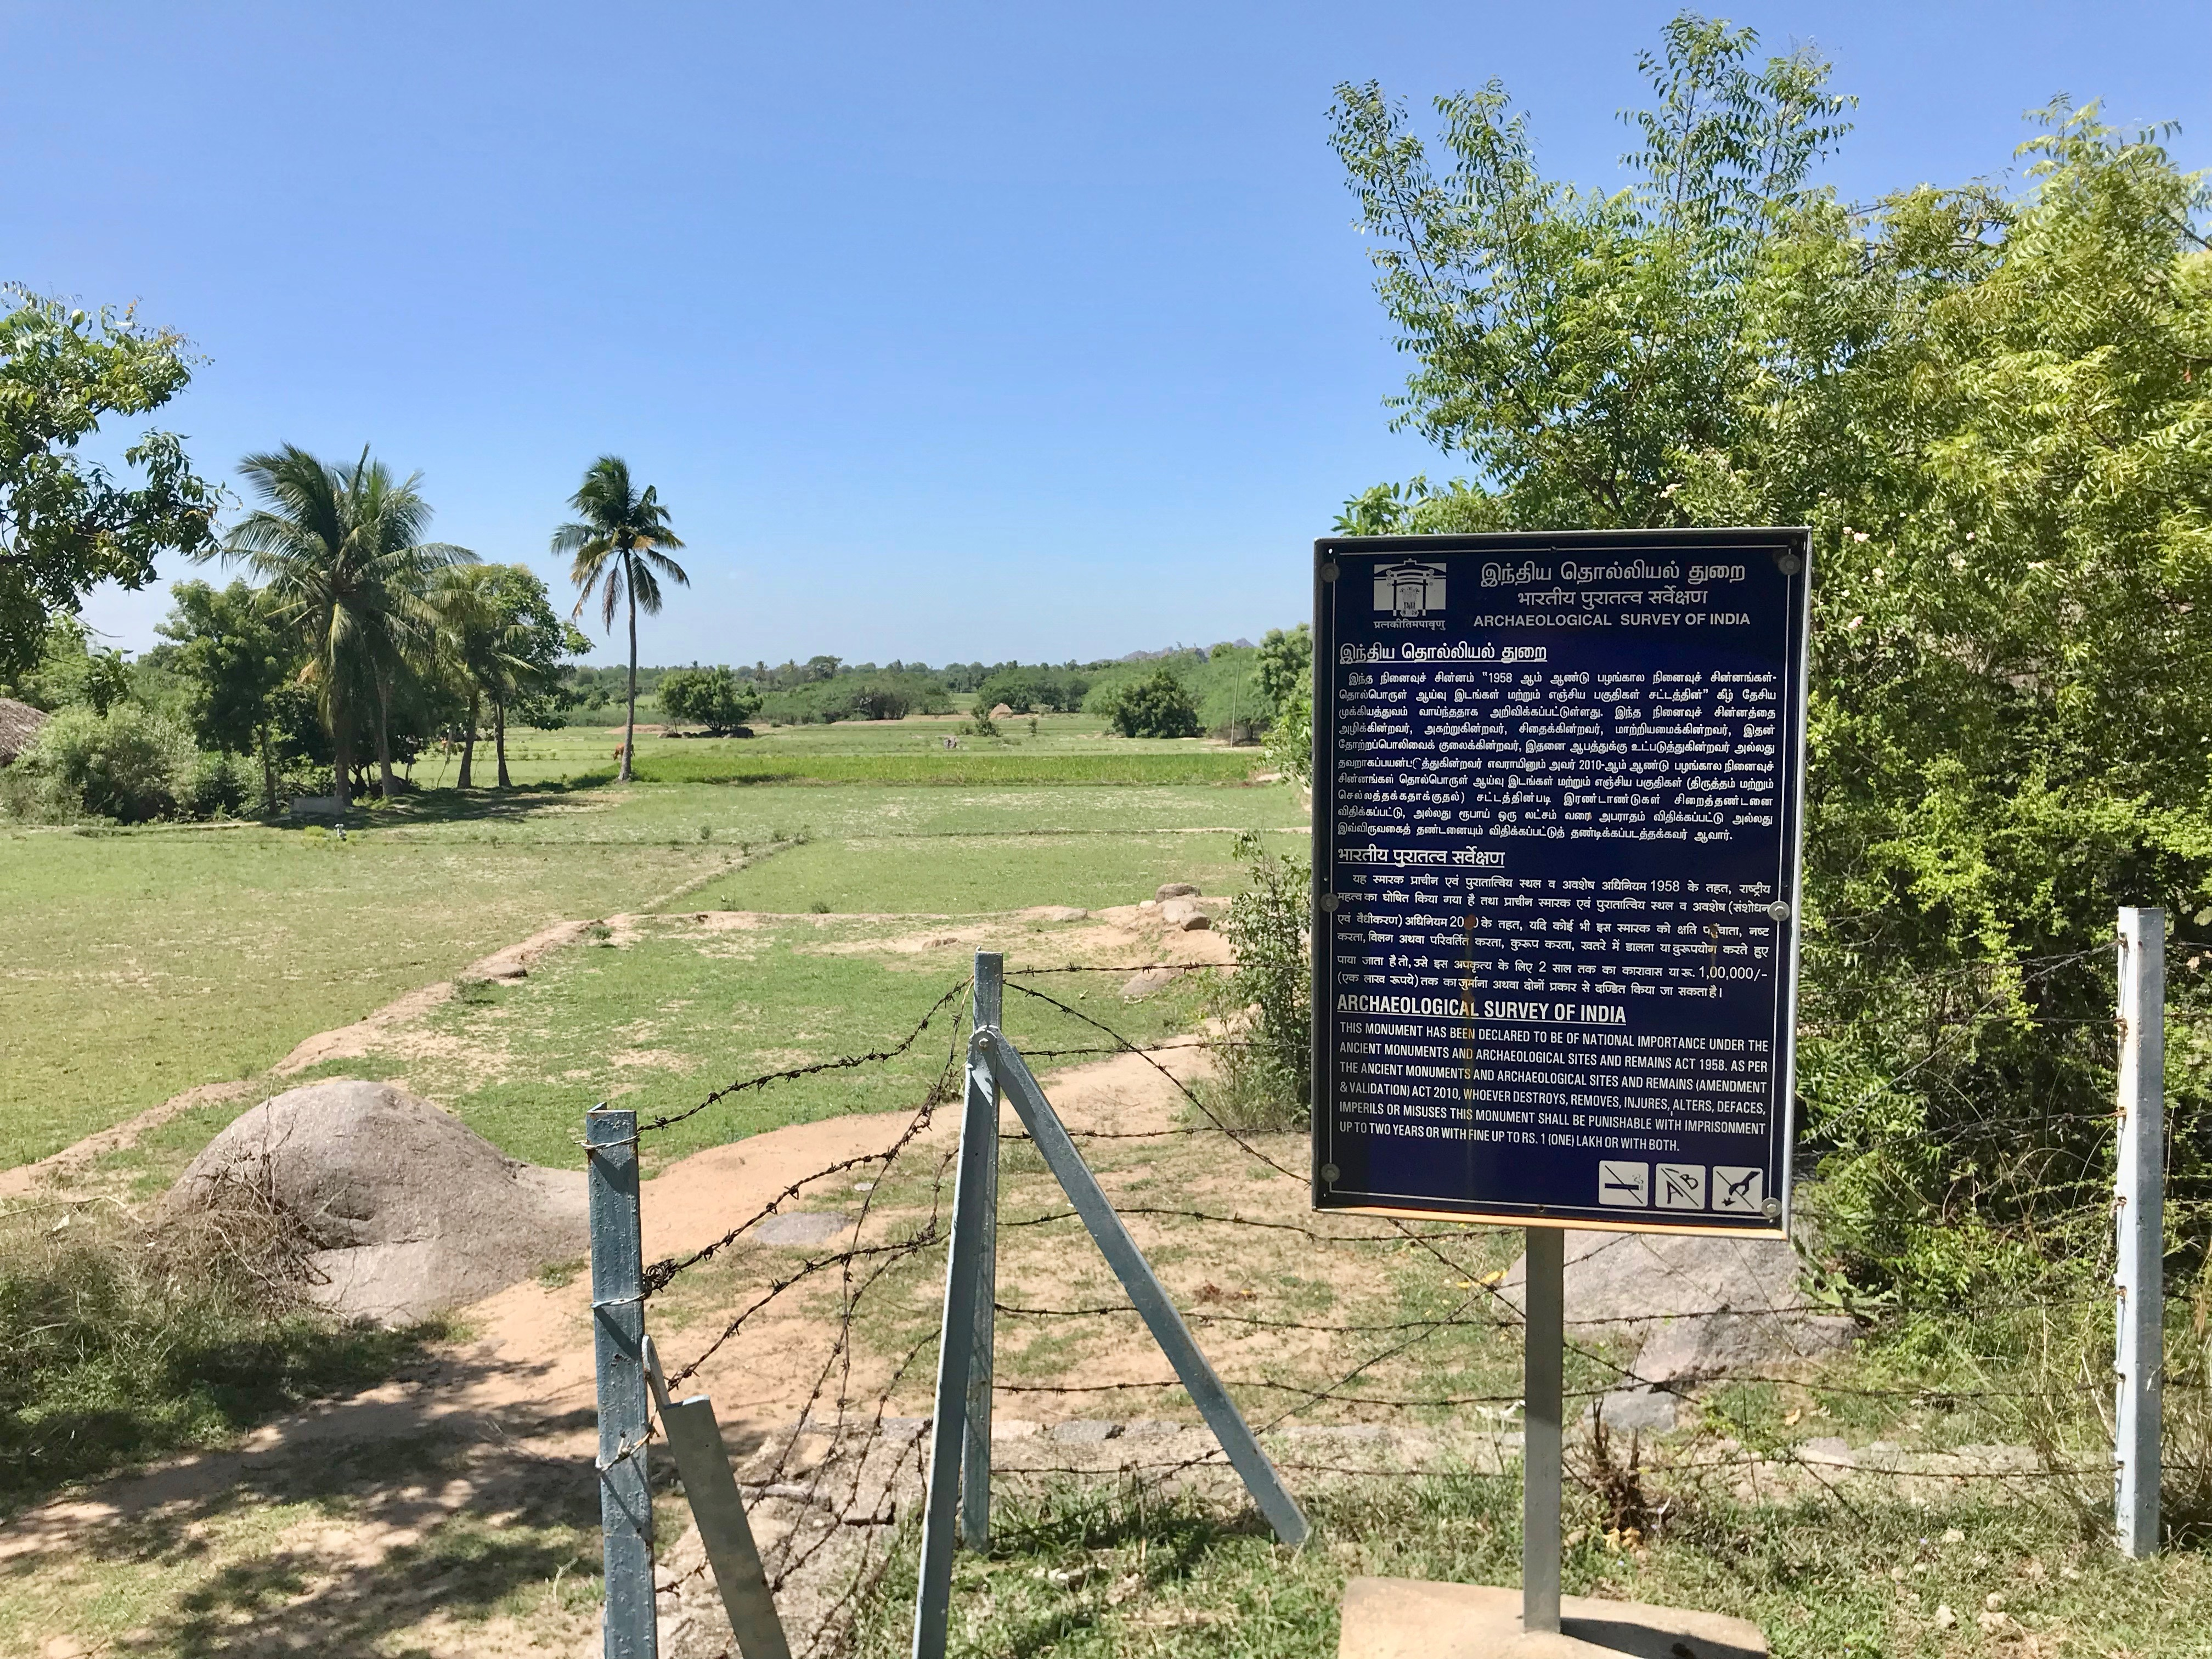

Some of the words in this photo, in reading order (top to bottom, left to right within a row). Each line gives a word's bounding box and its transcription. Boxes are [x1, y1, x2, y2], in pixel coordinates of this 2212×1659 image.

[1477, 558, 1554, 591] இந்திய
[1556, 555, 1685, 588] தொல்லியல்
[1513, 582, 1579, 610] भारतीय
[1578, 588, 1645, 613] पुरातत्व
[1645, 583, 1710, 608] सर्वेक्षण
[1373, 615, 1448, 633] प्रत्नकीतिमपावृणु
[1471, 612, 1615, 628] ARCHAEOLOGICAL
[1618, 611, 1683, 628] SURVEY
[1681, 610, 1708, 629] OF
[1709, 611, 1752, 628] INDIA
[1335, 639, 1398, 668] இந்திய
[1400, 638, 1498, 664] தொல்லியல்
[1496, 643, 1548, 665] துறை
[1345, 668, 1376, 688] இந்த
[1376, 668, 1430, 689] நினைவுச்
[1431, 667, 1477, 685] சின்னம்
[1485, 670, 1514, 687] 1958
[1518, 670, 1543, 692] ஆம்
[1546, 668, 1592, 688] ஆண்டு
[1593, 668, 1647, 690] பழங்கால
[1650, 665, 1705, 687] நினைவுச்
[1707, 667, 1775, 685] சின்னங்கள்-
[1334, 684, 1410, 706] தொல்பொருள்
[1414, 685, 1448, 706] ஆய்வு
[1451, 684, 1504, 705] இடங்கள்
[1504, 685, 1543, 706] மற்றும்
[1545, 685, 1589, 705] எஞ்சிய
[1591, 684, 1640, 706] பகுதிகள்
[1645, 685, 1705, 704] சட்டத்தின்
[1713, 684, 1736, 707] கீழ்
[1739, 684, 1778, 704] தேசிய
[1337, 702, 1410, 721] முக்கியத்துவம்
[1415, 702, 1482, 721] வாய்ந்ததாக
[1486, 702, 1606, 721] அறிவிக்கப்பட்டுள்ளது.
[1611, 703, 1644, 723] இந்த
[1649, 700, 1705, 721] நினைவுச்
[1710, 702, 1778, 723] சின்னத்தை
[1335, 716, 1413, 740] அழிக்கின்றவர்,
[1424, 718, 1505, 739] அகற்றுகின்றவர்
[1516, 718, 1604, 738] சிதைக்கின்றவர்,
[1613, 719, 1731, 740] மாற்றியமைக்கின்றவர்
[1739, 717, 1776, 741] இதன்
[1337, 735, 1437, 753] தோற்றப்பொலிவைக்
[1437, 736, 1521, 755] குலைக்கின்றவர்,
[1522, 737, 1568, 755] இதனை
[1567, 737, 1631, 757] ஆபத்துக்கு
[1627, 736, 1731, 757] உட்படுத்துகின்றவர்
[1731, 739, 1778, 759] அல்லது
[1336, 752, 1414, 772] தவறாகப்பயன்ட்
[1419, 754, 1484, 774] த்துகின்றவர்
[1486, 753, 1549, 776] எவராயினும்
[1545, 758, 1579, 776] அவர்
[1576, 757, 1629, 776] 2010-ஆம்
[1628, 755, 1672, 777] ஆண்டு
[1672, 757, 1725, 775] பழங்கால
[1721, 755, 1775, 776] நினைவச்
[1334, 769, 1397, 787] சின்னங்கள்
[1393, 768, 1472, 791] தொல்பொருள்
[1470, 771, 1508, 793] ஆய்வு
[1503, 771, 1554, 789] இடங்கள்
[1556, 771, 1593, 791] மற்றும்
[1593, 772, 1635, 792] எஞ்சிய
[1635, 772, 1683, 793] பகுதிகள்
[1683, 773, 1737, 794] (திருத்தம்
[1736, 775, 1777, 794] மற்றும்
[1333, 783, 1462, 808] செல்லத்தக்கதாக்குதல்
[1474, 788, 1553, 808] சட்டத்தினபடி
[1560, 789, 1663, 810] இரண்டாண்டுகள்
[1669, 790, 1775, 810] சிறைத்தண்டனை
[1335, 802, 1408, 822] விதிக்கப்பட்டு,
[1335, 816, 1412, 841] இவ்விருவகைத்
[1413, 806, 1454, 823] அல்லது
[1415, 821, 1486, 839] தண்டனையும்
[1457, 807, 1492, 825] ரூபாய்
[1496, 809, 1519, 825] ஒரு
[1486, 820, 1566, 842] விதிக்கப்பட்டுத்
[1520, 807, 1559, 824] லட்சம்
[1561, 810, 1594, 823] வரை
[1595, 809, 1649, 827] அபராதம்
[1566, 822, 1689, 842] தண்டிக்கப்படத்தக்கவர்
[1649, 807, 1725, 827] விதிக்கப்பட்டு
[1692, 825, 1733, 845] ஆவார்.
[1730, 810, 1776, 830] அல்லது
[1335, 839, 1392, 865] भारतीय
[1392, 846, 1451, 870] पुरातत्व
[1450, 843, 1508, 867] सर्वेक्षण
[1337, 889, 1364, 904] महत्व
[1350, 871, 1369, 888] यह
[1362, 890, 1380, 904] का
[1370, 872, 1406, 886] स्मारक
[1378, 887, 1413, 907] घोषित
[1407, 870, 1441, 889] प्राचीन
[1409, 888, 1441, 907] किया
[1441, 871, 1463, 891] एवं
[1441, 892, 1465, 907] गया
[1462, 889, 1479, 910] है
[1463, 871, 1515, 891] पुरातात्विय
[1477, 894, 1502, 909] तथा
[1502, 890, 1537, 909] प्राचीन
[1516, 875, 1543, 893] स्थल
[1544, 877, 1559, 891] व
[1534, 896, 1572, 911] स्मारक
[1561, 874, 1597, 894] अवशेष
[1573, 894, 1594, 912] एवं
[1593, 893, 1647, 915] पुरातात्विय
[1596, 874, 1650, 895] अधिनियम
[1646, 898, 1677, 915] स्‍थल
[1649, 878, 1682, 896] 1958
[1675, 899, 1690, 913] व
[1683, 876, 1702, 895] நின
[1690, 896, 1729, 917] अवशेष
[1701, 881, 1733, 897] तहत,
[1730, 895, 1773, 915] संशोधन
[1735, 877, 1775, 900] राष्‍ट्रीय
[1334, 909, 1352, 930] एवं
[1333, 951, 1359, 966] पाया
[1335, 929, 1365, 945] करता,
[1340, 972, 1361, 986] एक
[1358, 952, 1387, 968] जाता
[1361, 973, 1389, 986] लारव
[1353, 907, 1398, 928] वैधीकरण
[1365, 928, 1396, 946] विलग
[1384, 951, 1401, 970] है
[1394, 949, 1411, 969] तो,
[1387, 971, 1418, 988] रूपये)
[1396, 932, 1427, 946] अथवा
[1412, 953, 1432, 972] उसे
[1402, 910, 1450, 931] अधिनियम
[1418, 974, 1440, 989] तक
[1432, 957, 1451, 973] इस
[1428, 930, 1471, 947] परिवर्तित
[1441, 975, 1461, 990] का
[1446, 914, 1466, 930] 20
[1455, 974, 1490, 992] जुर्माना
[1451, 958, 1495, 975] अपकृत्य
[1476, 911, 1496, 930] के
[1472, 935, 1505, 951] करता,
[1495, 955, 1510, 972] के
[1488, 978, 1522, 992] अथवा
[1494, 916, 1522, 933] तहत,
[1510, 956, 1536, 975] लिए
[1508, 936, 1542, 956] कुरूप
[1520, 975, 1547, 994] दोनों
[1528, 915, 1549, 933] यदि
[1534, 958, 1549, 976] 2
[1541, 938, 1576, 952] करता,
[1551, 961, 1573, 977] साल
[1547, 916, 1578, 937] कोई
[1547, 980, 1578, 995] प्रकार
[1577, 978, 1593, 995] से
[1576, 915, 1595, 934] भी
[1575, 960, 1599, 976] तक
[1577, 935, 1610, 953] खतरे
[1594, 919, 1615, 938] इस
[1598, 963, 1619, 978] का
[1593, 978, 1628, 997] दण्डित
[1609, 934, 1624, 952] में
[1614, 921, 1654, 935] स्मारक
[1623, 939, 1656, 956] डालता
[1627, 979, 1656, 996] किया
[1620, 962, 1665, 980] कारावास
[1653, 918, 1674, 938] को
[1659, 941, 1673, 956] या
[1657, 984, 1676, 998] जा
[1667, 966, 1681, 979] या
[1675, 918, 1699, 939] क्षति
[1678, 965, 1696, 981] रू‍.
[1677, 984, 1710, 999] सकता
[1671, 938, 1720, 959] दुरूपयोग
[1706, 981, 1724, 1002] है।
[1701, 918, 1741, 941] पहुँचाता
[1697, 963, 1763, 981] 1,00,000/
[1719, 939, 1751, 958] करते
[1746, 944, 1770, 961] हुए
[1744, 926, 1773, 941] नष्‍ट
[1334, 990, 1481, 1020] ARCHAEOLOGICAL
[1481, 996, 1551, 1021] SURVEY
[1551, 1000, 1579, 1023] OF
[1579, 1002, 1628, 1025] INDIA
[1335, 1079, 1349, 1094] &
[1338, 1119, 1355, 1134] UP
[1339, 1058, 1361, 1076] THE
[1339, 1018, 1364, 1037] THIS
[1337, 1037, 1383, 1057] ANCIENT
[1353, 1118, 1369, 1136] TO
[1337, 1098, 1386, 1118] IMPERILS
[1348, 1078, 1410, 1101] VALIDATION)
[1367, 1120, 1393, 1137] TWO
[1360, 1060, 1406, 1079] ANCIENT
[1362, 1020, 1425, 1040] MONUMENT
[1385, 1101, 1403, 1118] OR
[1391, 1121, 1426, 1138] YEARS
[1382, 1040, 1452, 1060] MONUMENTS
[1408, 1083, 1434, 1099] ACT
[1399, 1102, 1448, 1121] MISUSES
[1423, 1124, 1442, 1139] OR
[1424, 1024, 1448, 1041] HAS
[1404, 1062, 1473, 1081] MONUMENTS
[1430, 1085, 1461, 1102] 2010,
[1440, 1123, 1469, 1142] WITH
[1447, 1045, 1476, 1062] AND
[1448, 1105, 1475, 1124] THIS
[1447, 1025, 1477, 1044] BEEN
[1465, 1126, 1492, 1145] FINE
[1472, 1066, 1497, 1084] AND
[1462, 1085, 1512, 1105] WHOEVER
[1489, 1128, 1507, 1144] UP
[1476, 1026, 1531, 1044] DECLARED
[1474, 1105, 1537, 1127] MONUMENT
[1505, 1128, 1521, 1147] TO
[1473, 1046, 1565, 1065] ARCHAEOLOGICAL
[1521, 1128, 1539, 1147] RS.
[1511, 1088, 1567, 1108] DESTROYS,
[1531, 1028, 1549, 1046] TO
[1495, 1065, 1588, 1088] ARCHAEOLOGICAL
[1536, 1108, 1572, 1127] SHALL
[1547, 1028, 1566, 1045] BE
[1547, 1131, 1577, 1148] (ONE)
[1564, 1030, 1581, 1048] OF
[1569, 1112, 1587, 1131] BE
[1565, 1050, 1599, 1070] SITES
[1573, 1133, 1606, 1149] LAKH
[1568, 1091, 1621, 1112] REMOVES,
[1587, 1071, 1620, 1090] SITES
[1578, 1031, 1637, 1049] NATIONAL
[1597, 1052, 1626, 1071] AND
[1601, 1134, 1622, 1151] OR
[1587, 1113, 1653, 1135] PUNISHABLE
[1617, 1074, 1644, 1091] AND
[1618, 1135, 1649, 1152] WITH
[1622, 1093, 1669, 1112] INJURES,
[1622, 1052, 1673, 1071] REMAINS
[1646, 1136, 1681, 1154] BOTH.
[1652, 1115, 1684, 1134] WITH
[1643, 1074, 1697, 1094] REMAINS
[1635, 1032, 1708, 1053] IMPORTANCE
[1674, 1054, 1698, 1072] ACT
[1669, 1096, 1716, 1114] ALTERS,
[1697, 1057, 1729, 1074] 1958.
[1683, 1115, 1767, 1139] IMPRISONMENT
[1707, 1034, 1747, 1054] UNDER
[1698, 1075, 1769, 1094] AMENDMENT
[1729, 1058, 1748, 1074] AS
[1716, 1097, 1766, 1118] DEFACES,
[1744, 1037, 1771, 1054] THE
[1747, 1057, 1770, 1075] PER